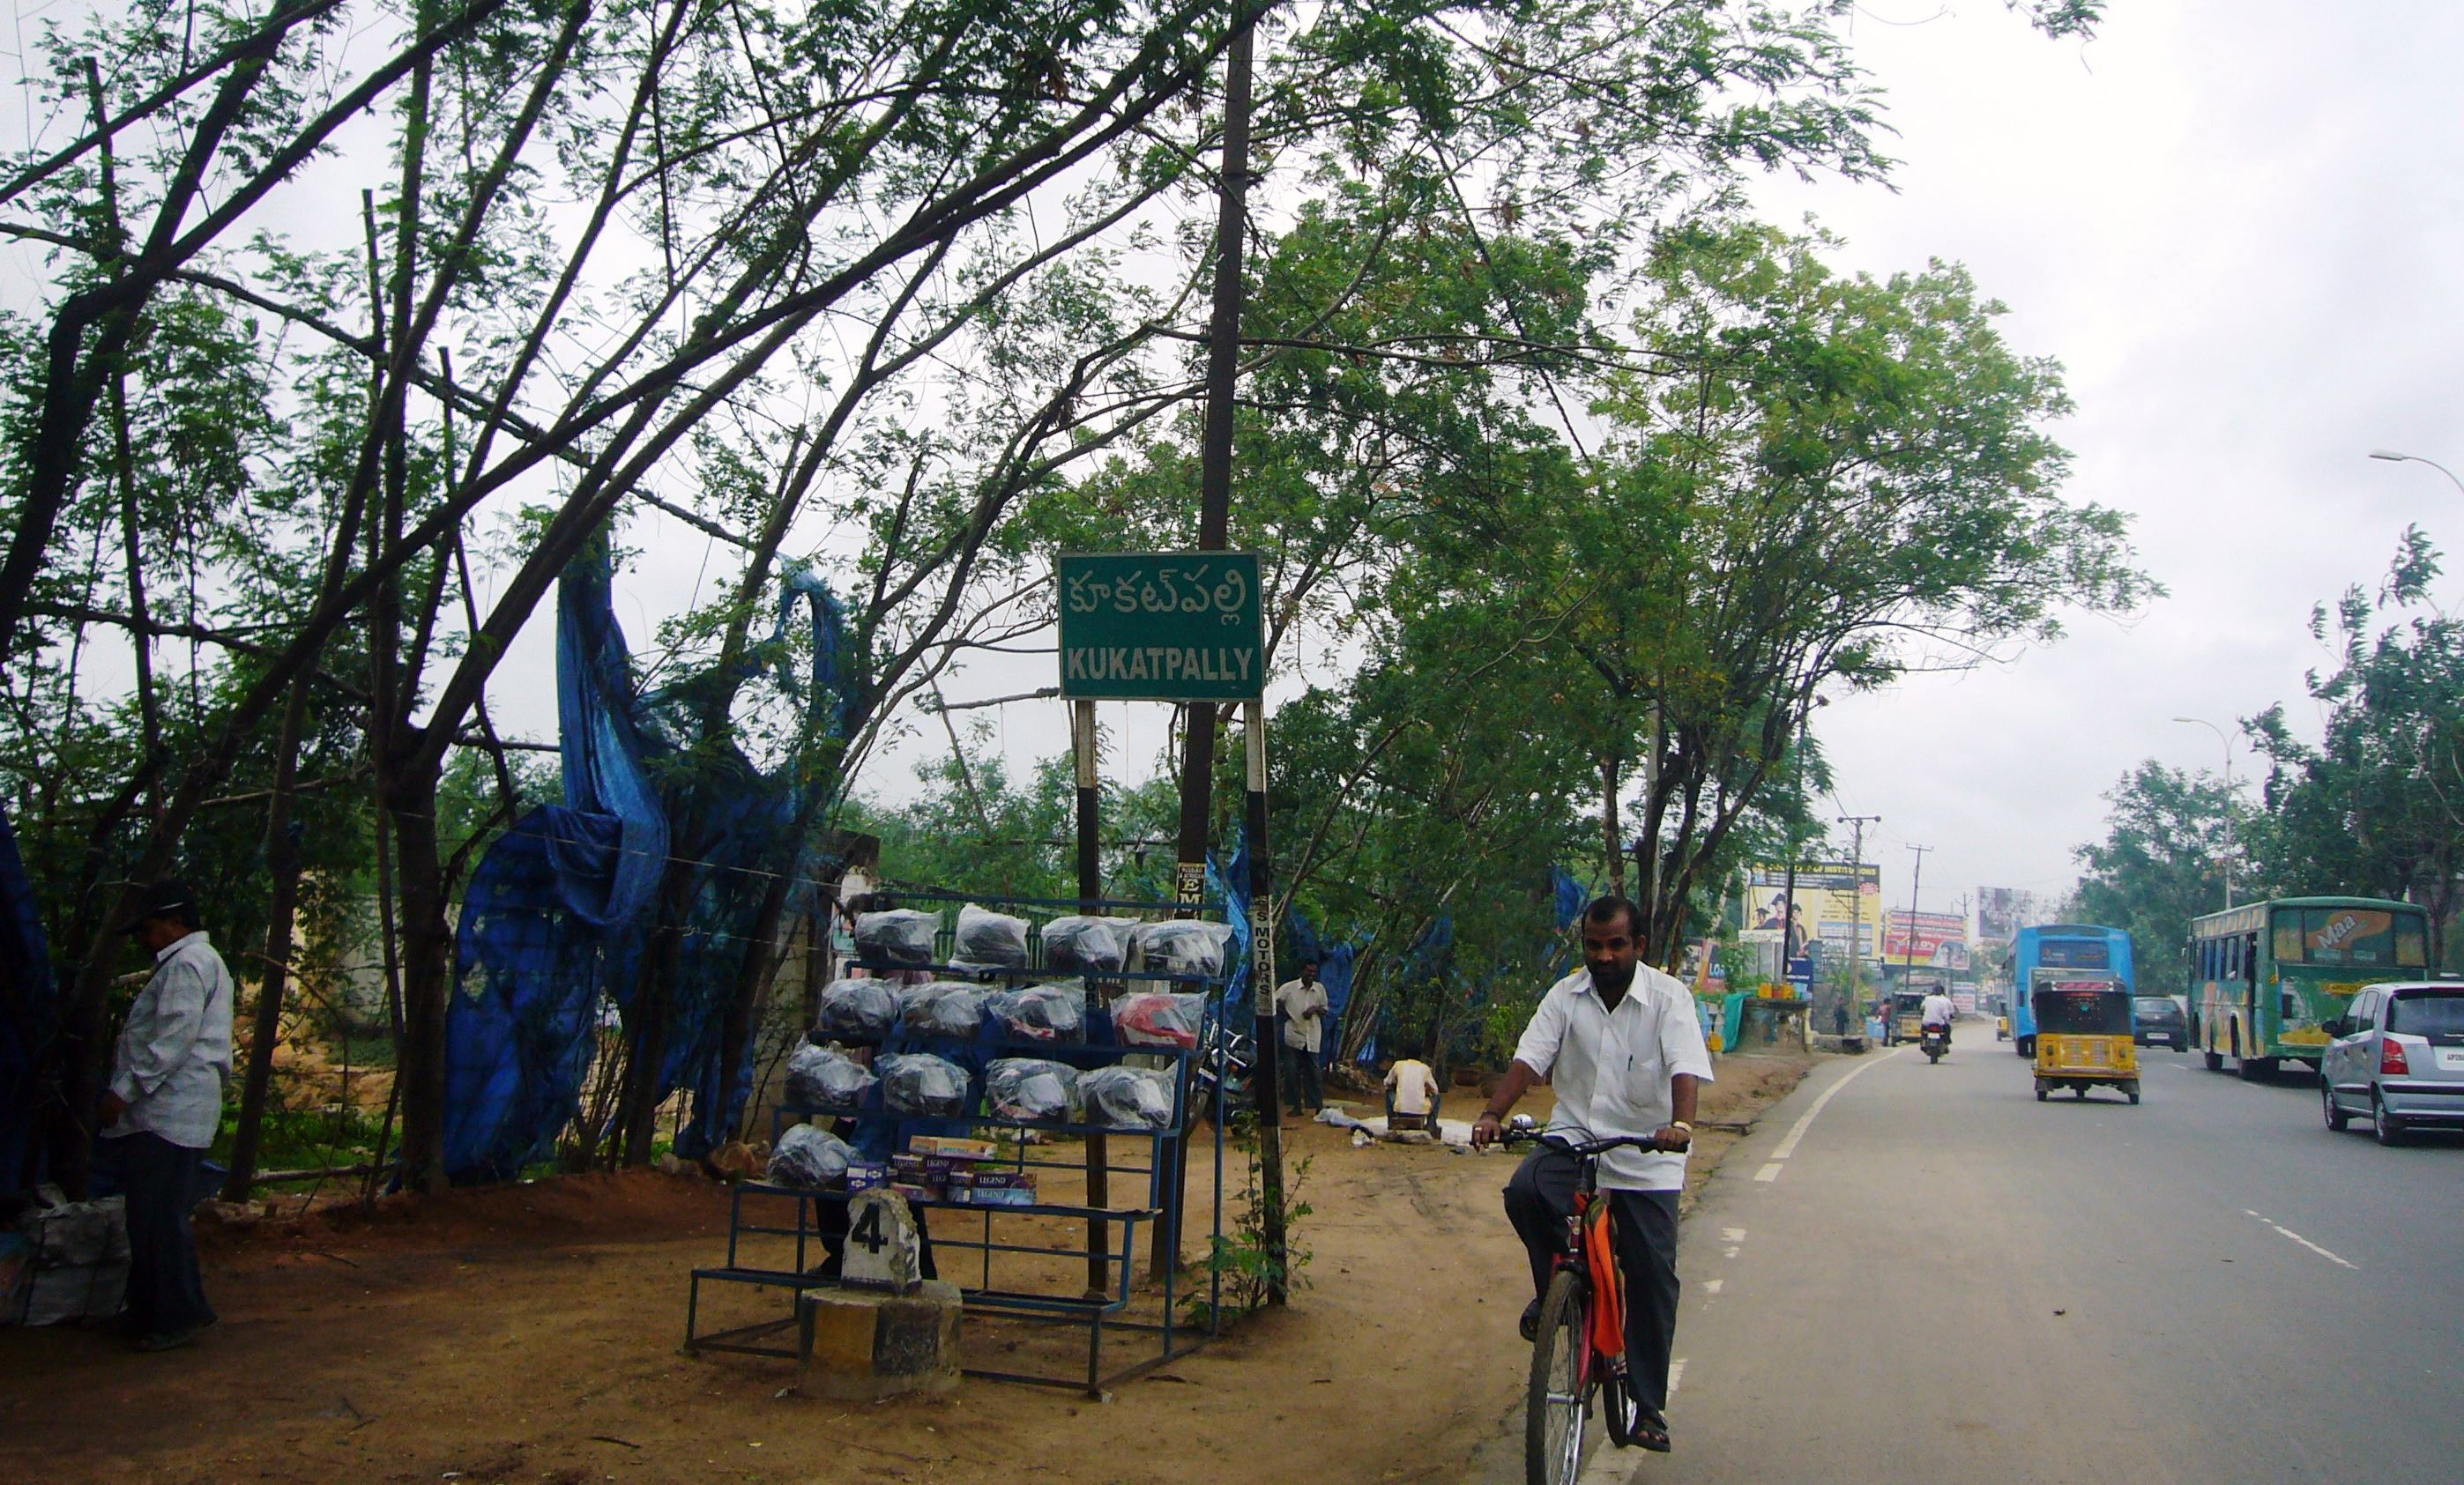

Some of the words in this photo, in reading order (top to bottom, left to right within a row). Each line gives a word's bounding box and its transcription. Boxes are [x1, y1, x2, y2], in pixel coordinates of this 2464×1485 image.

[1064, 561, 1249, 630] కూకట్వల్లి
[1064, 640, 1255, 684] KUKATPALLY